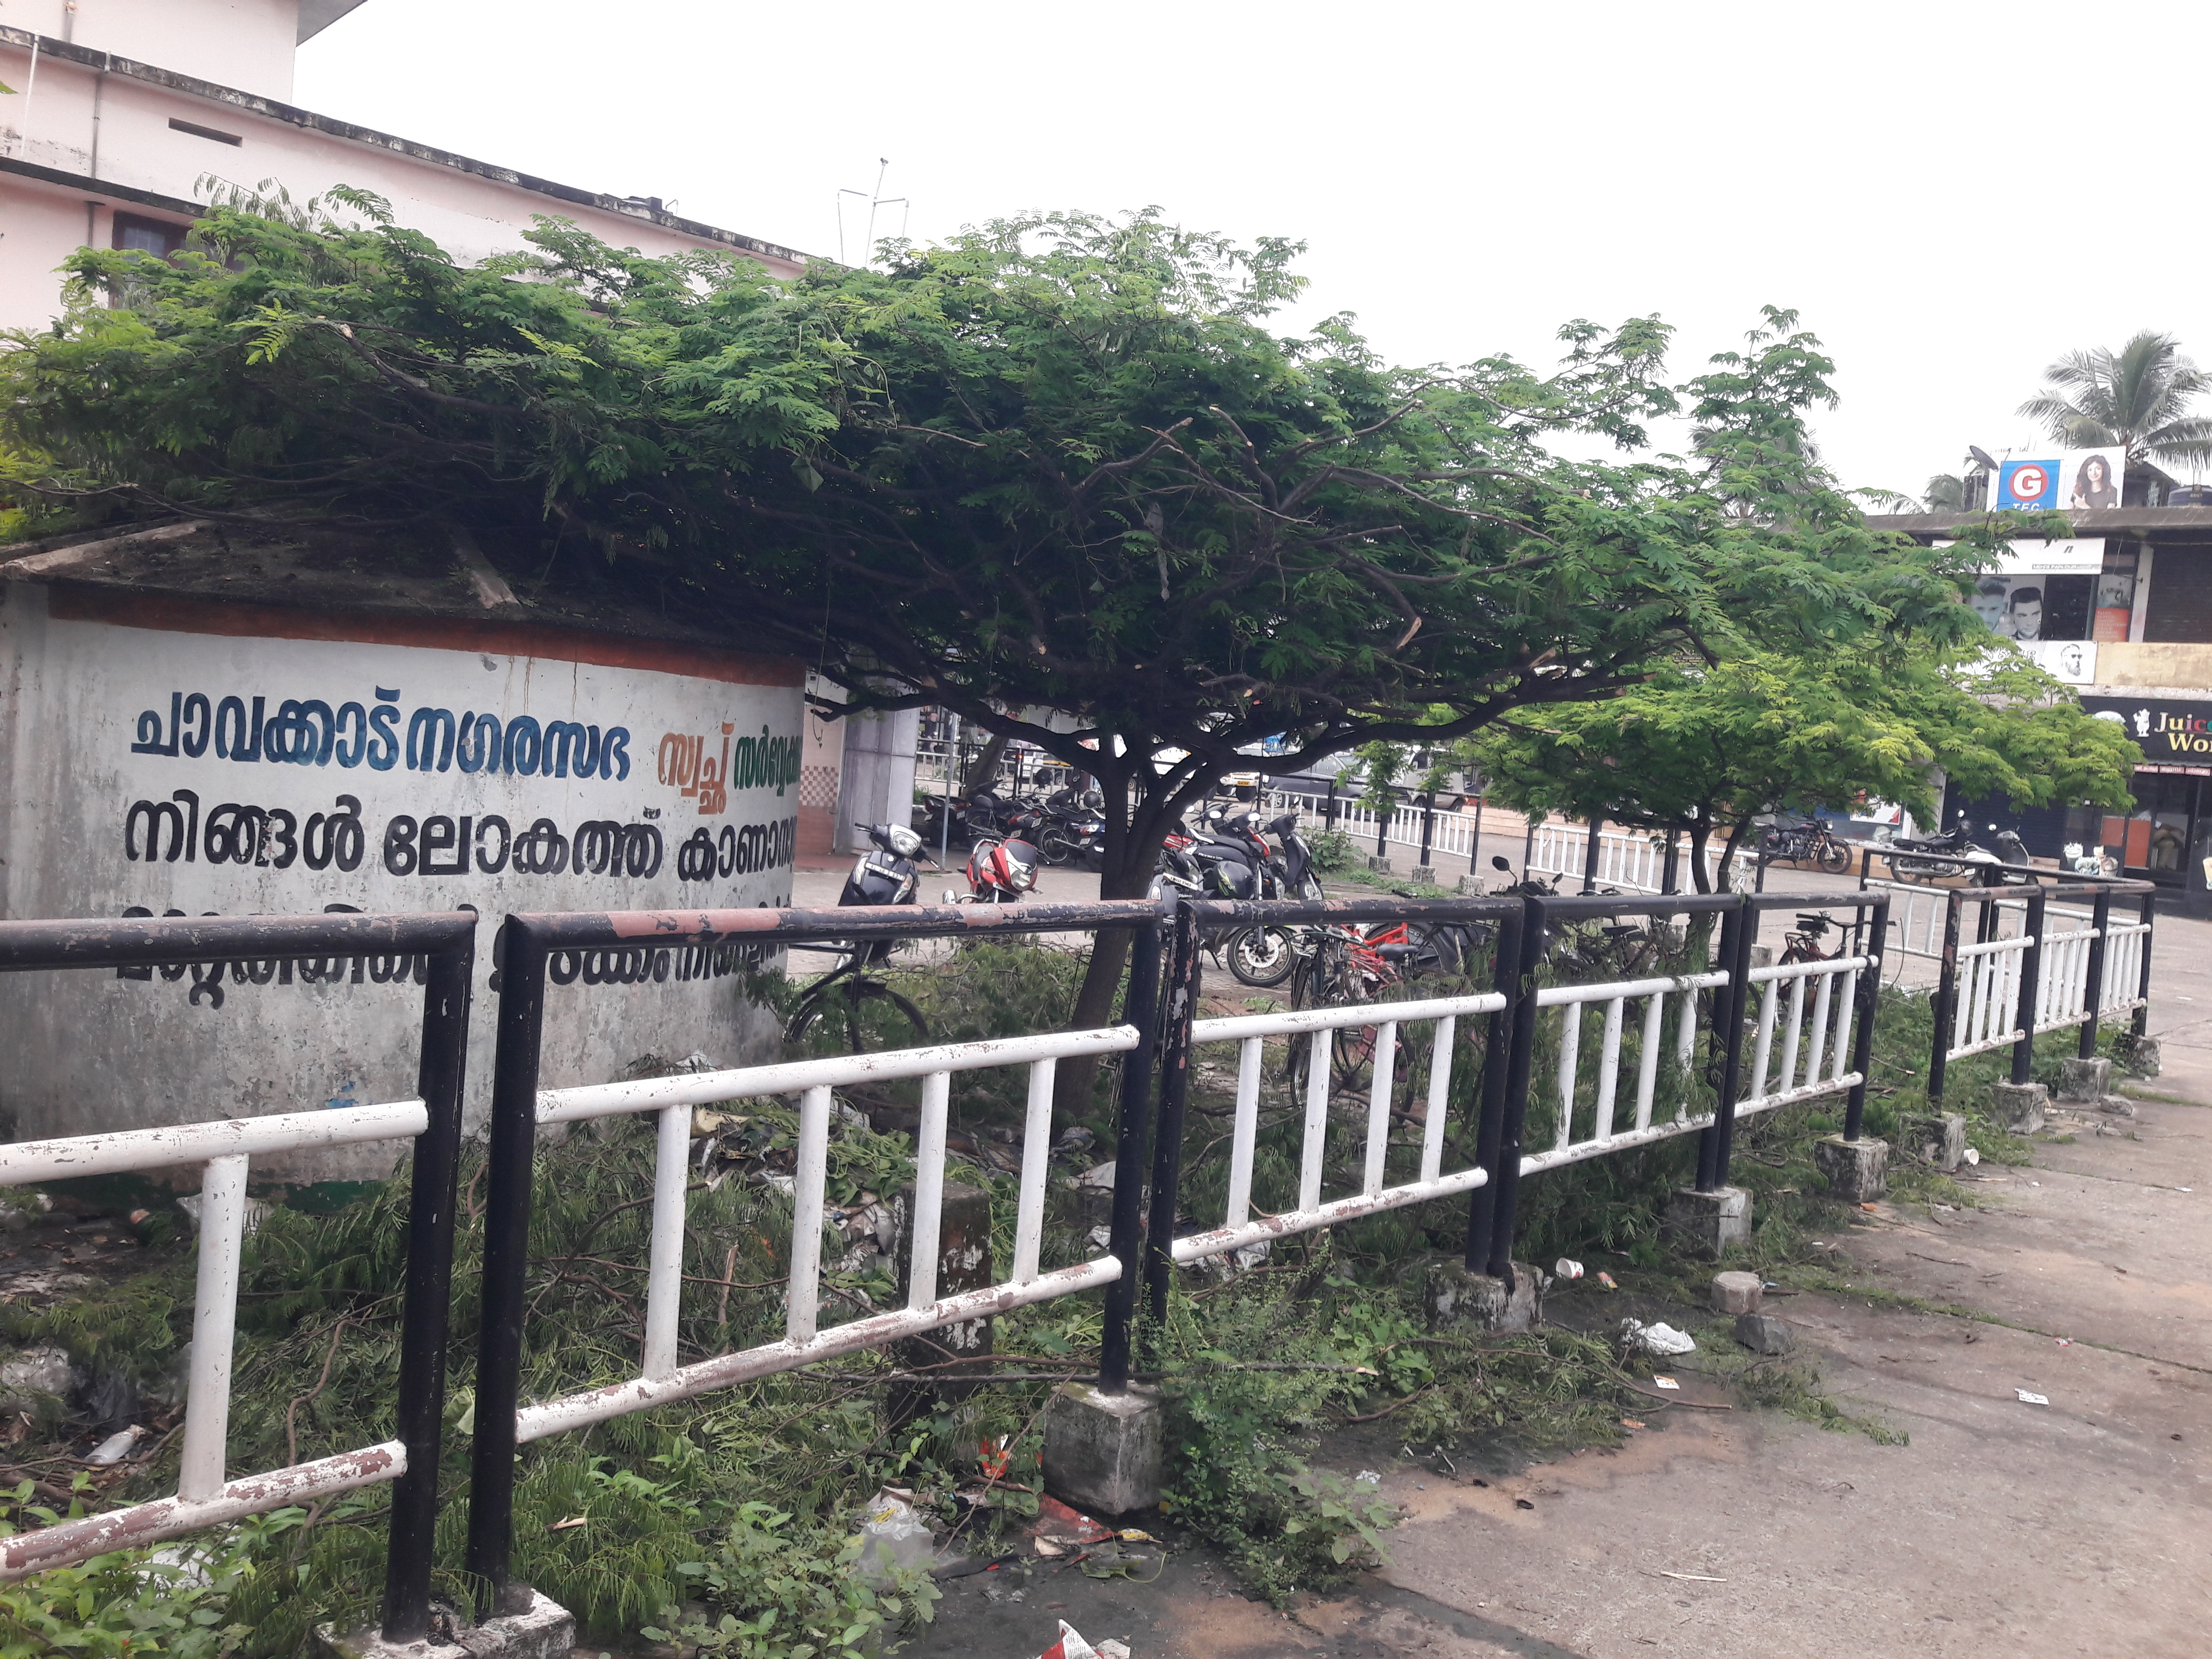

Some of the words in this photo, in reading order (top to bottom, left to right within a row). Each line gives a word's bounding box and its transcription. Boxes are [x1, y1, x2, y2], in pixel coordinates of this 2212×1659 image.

[126, 676, 634, 783] ചാവക്കാട് നഗരസഭ
[654, 714, 740, 817] സ്വച്ച്
[730, 721, 808, 799] സർ‌വ്വേഷ
[119, 784, 371, 875] നിങ്ങൾ
[378, 800, 670, 881] ലോകത്ത്
[674, 809, 802, 886] കാണാനാ